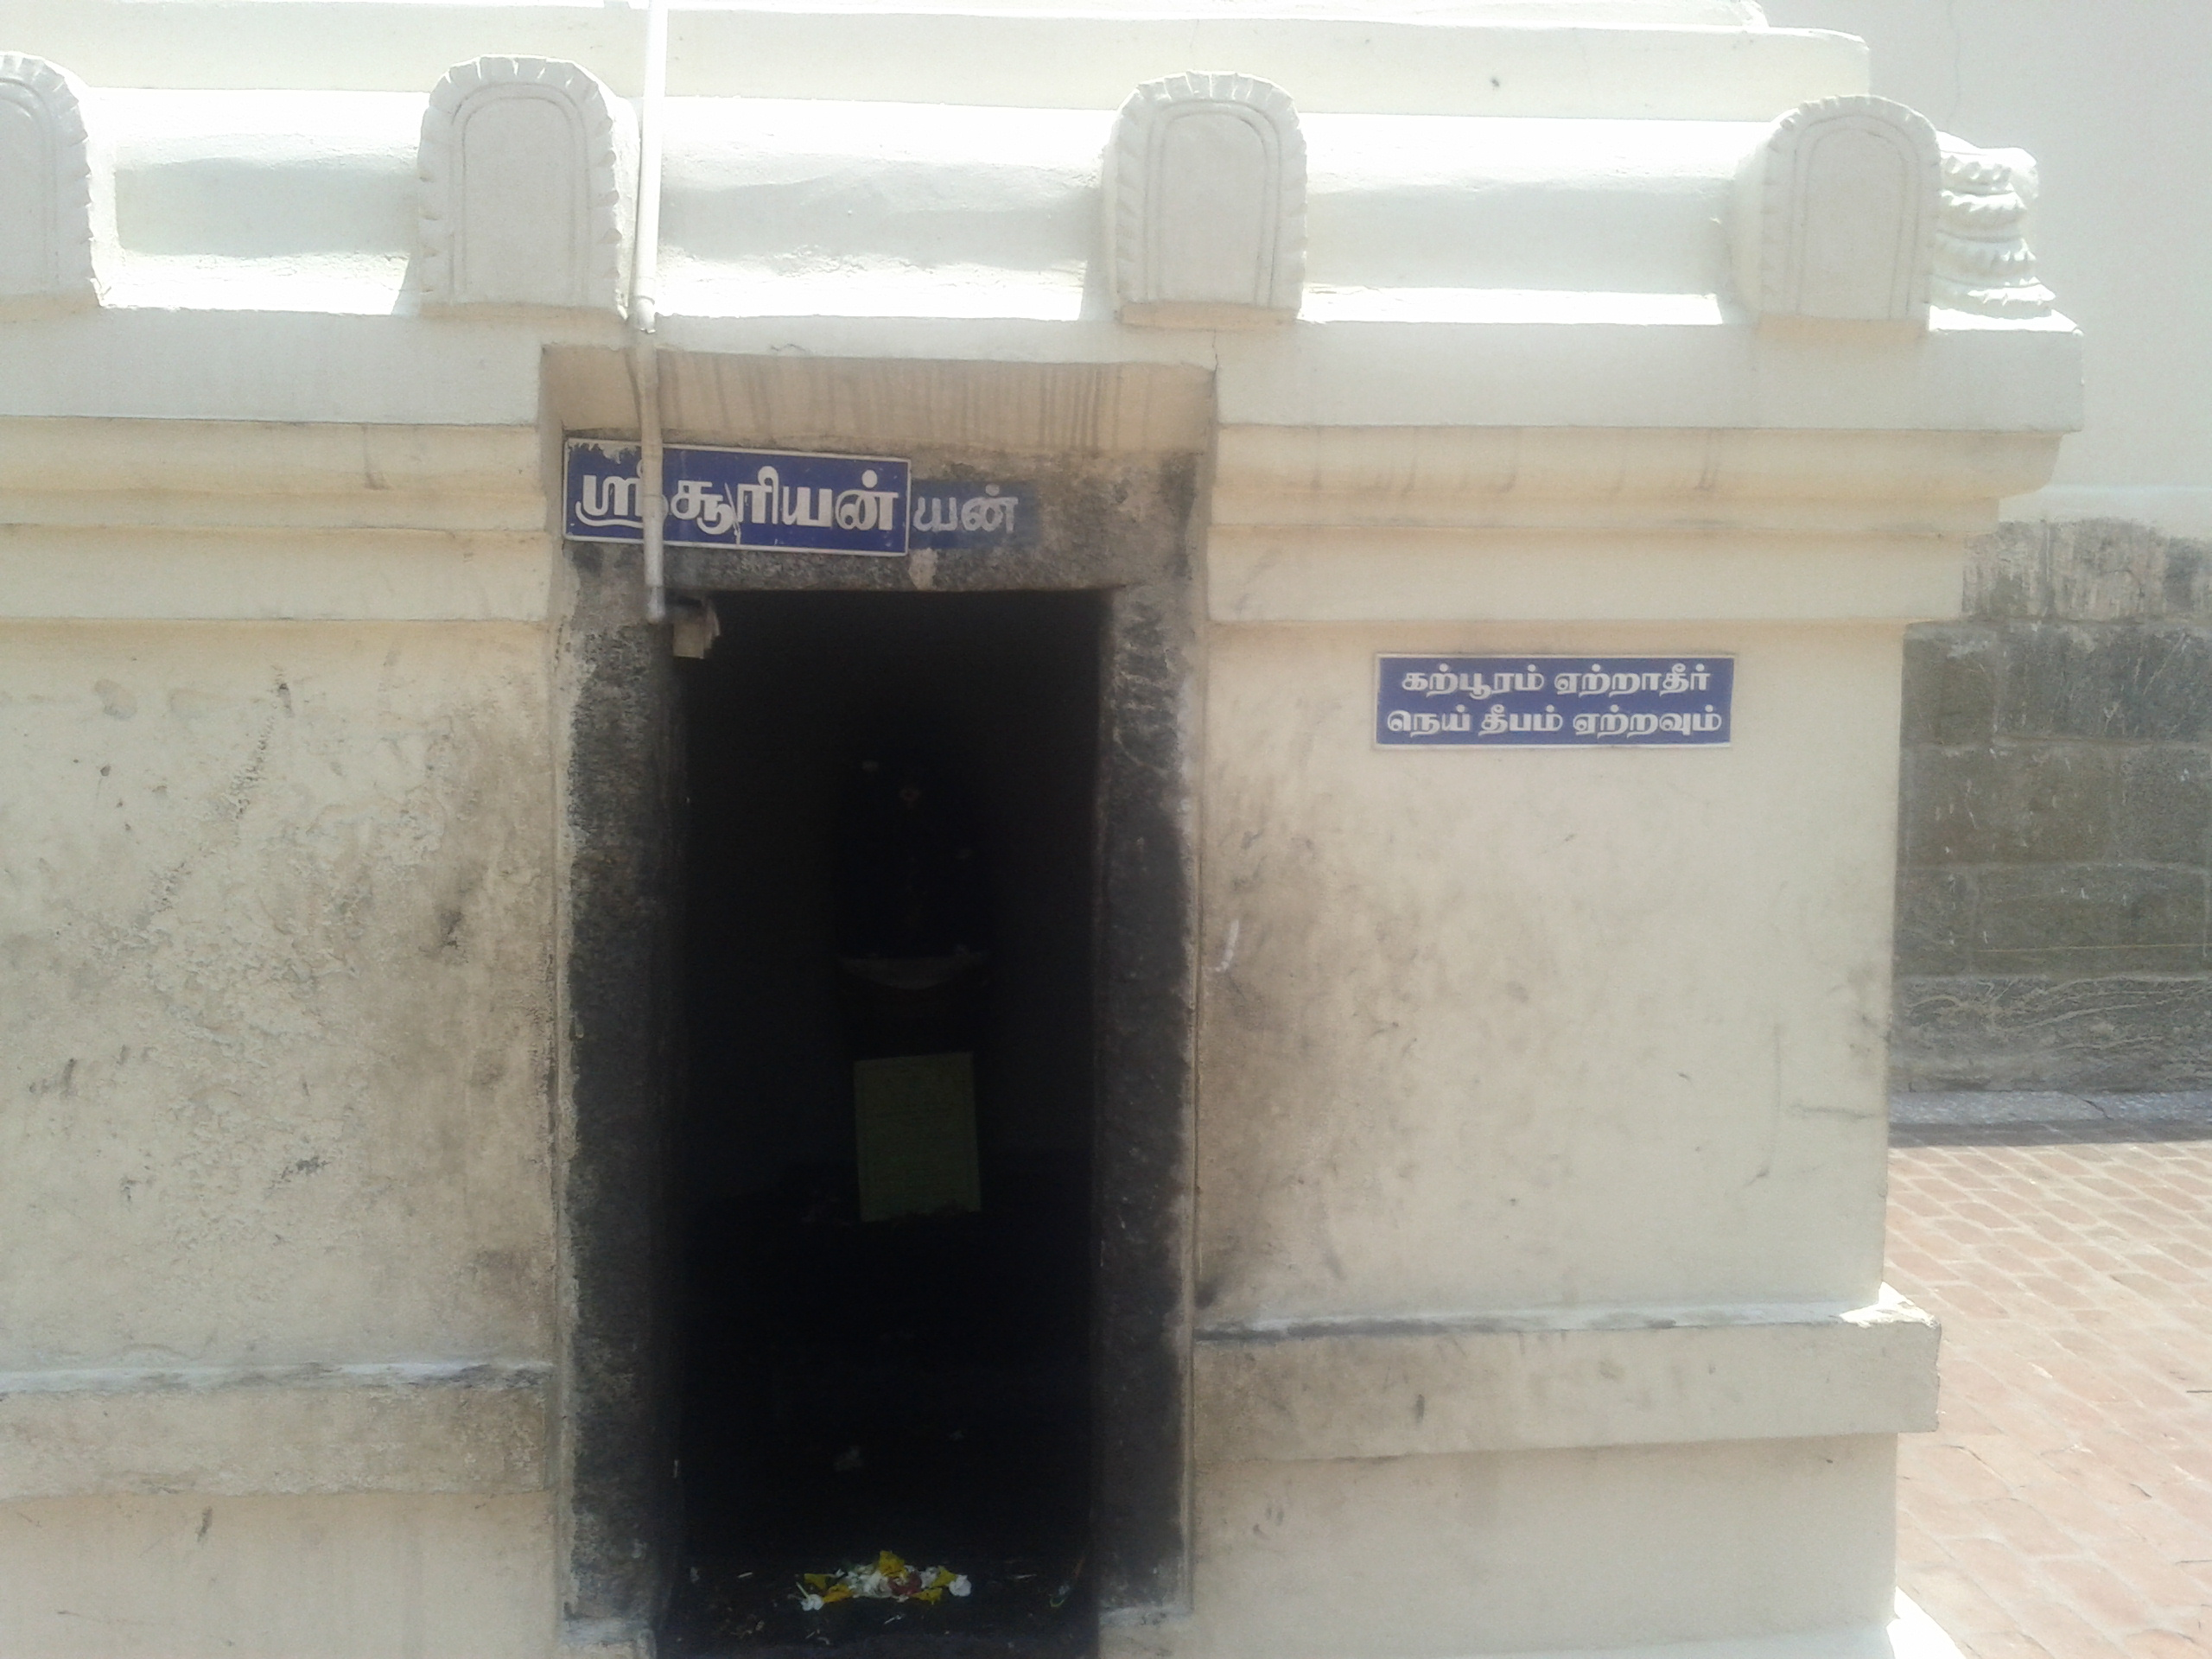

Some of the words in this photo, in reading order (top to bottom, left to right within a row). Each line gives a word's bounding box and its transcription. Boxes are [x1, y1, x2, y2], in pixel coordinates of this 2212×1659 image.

[572, 448, 905, 540] ஸ்ரீ சூரியன்
[906, 477, 1020, 535] யன்
[1399, 659, 1548, 702] கற்பூரம்
[1548, 656, 1715, 702] ஏற்றாதீா்
[1385, 700, 1475, 740] நெய்
[1477, 697, 1570, 739] தீபம்
[1568, 699, 1726, 742] ஏற்றவும்